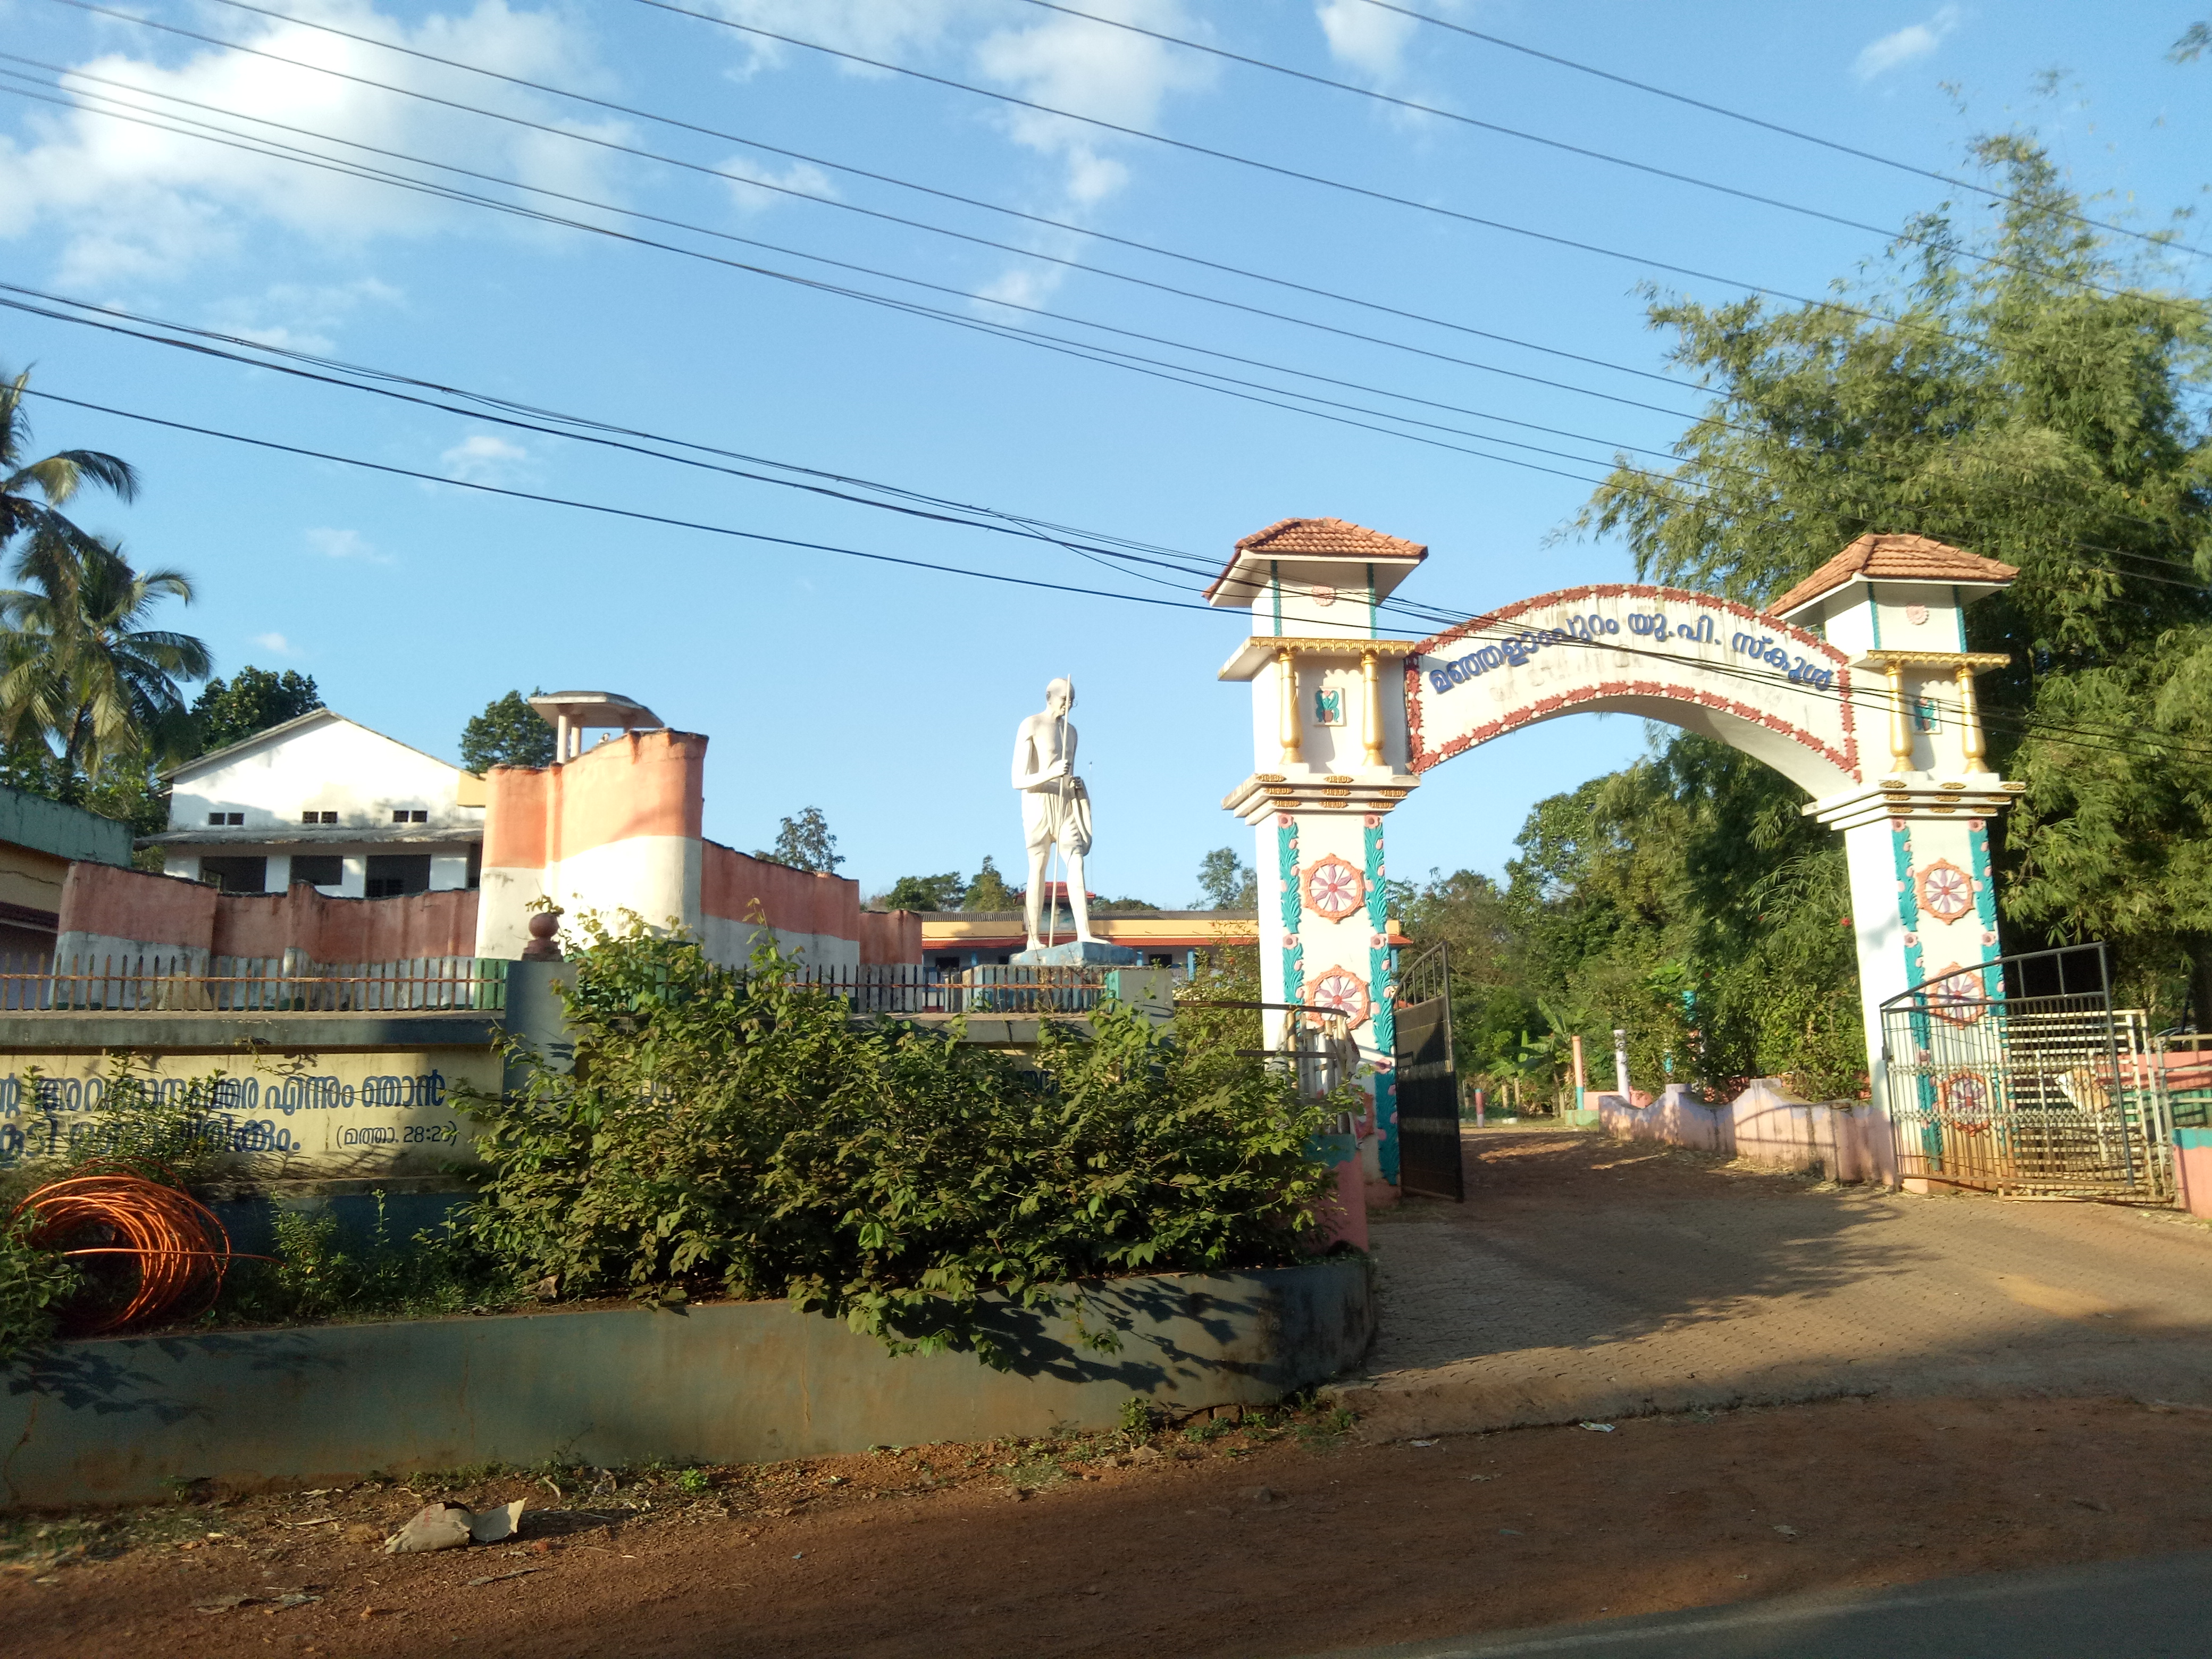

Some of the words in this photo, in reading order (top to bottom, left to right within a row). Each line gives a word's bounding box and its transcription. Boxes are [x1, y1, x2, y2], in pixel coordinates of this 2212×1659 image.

[1627, 610, 1724, 648] യു.പി.
[1423, 611, 1621, 698] മഞ്ഞളാംപുറം
[1728, 629, 1837, 695] സ്‌കൂൾ
[261, 1069, 356, 1117] എന്നും
[359, 1063, 448, 1112] ഞാൻ
[342, 1124, 401, 1147] മത്താ
[399, 1122, 454, 1145] 28:22